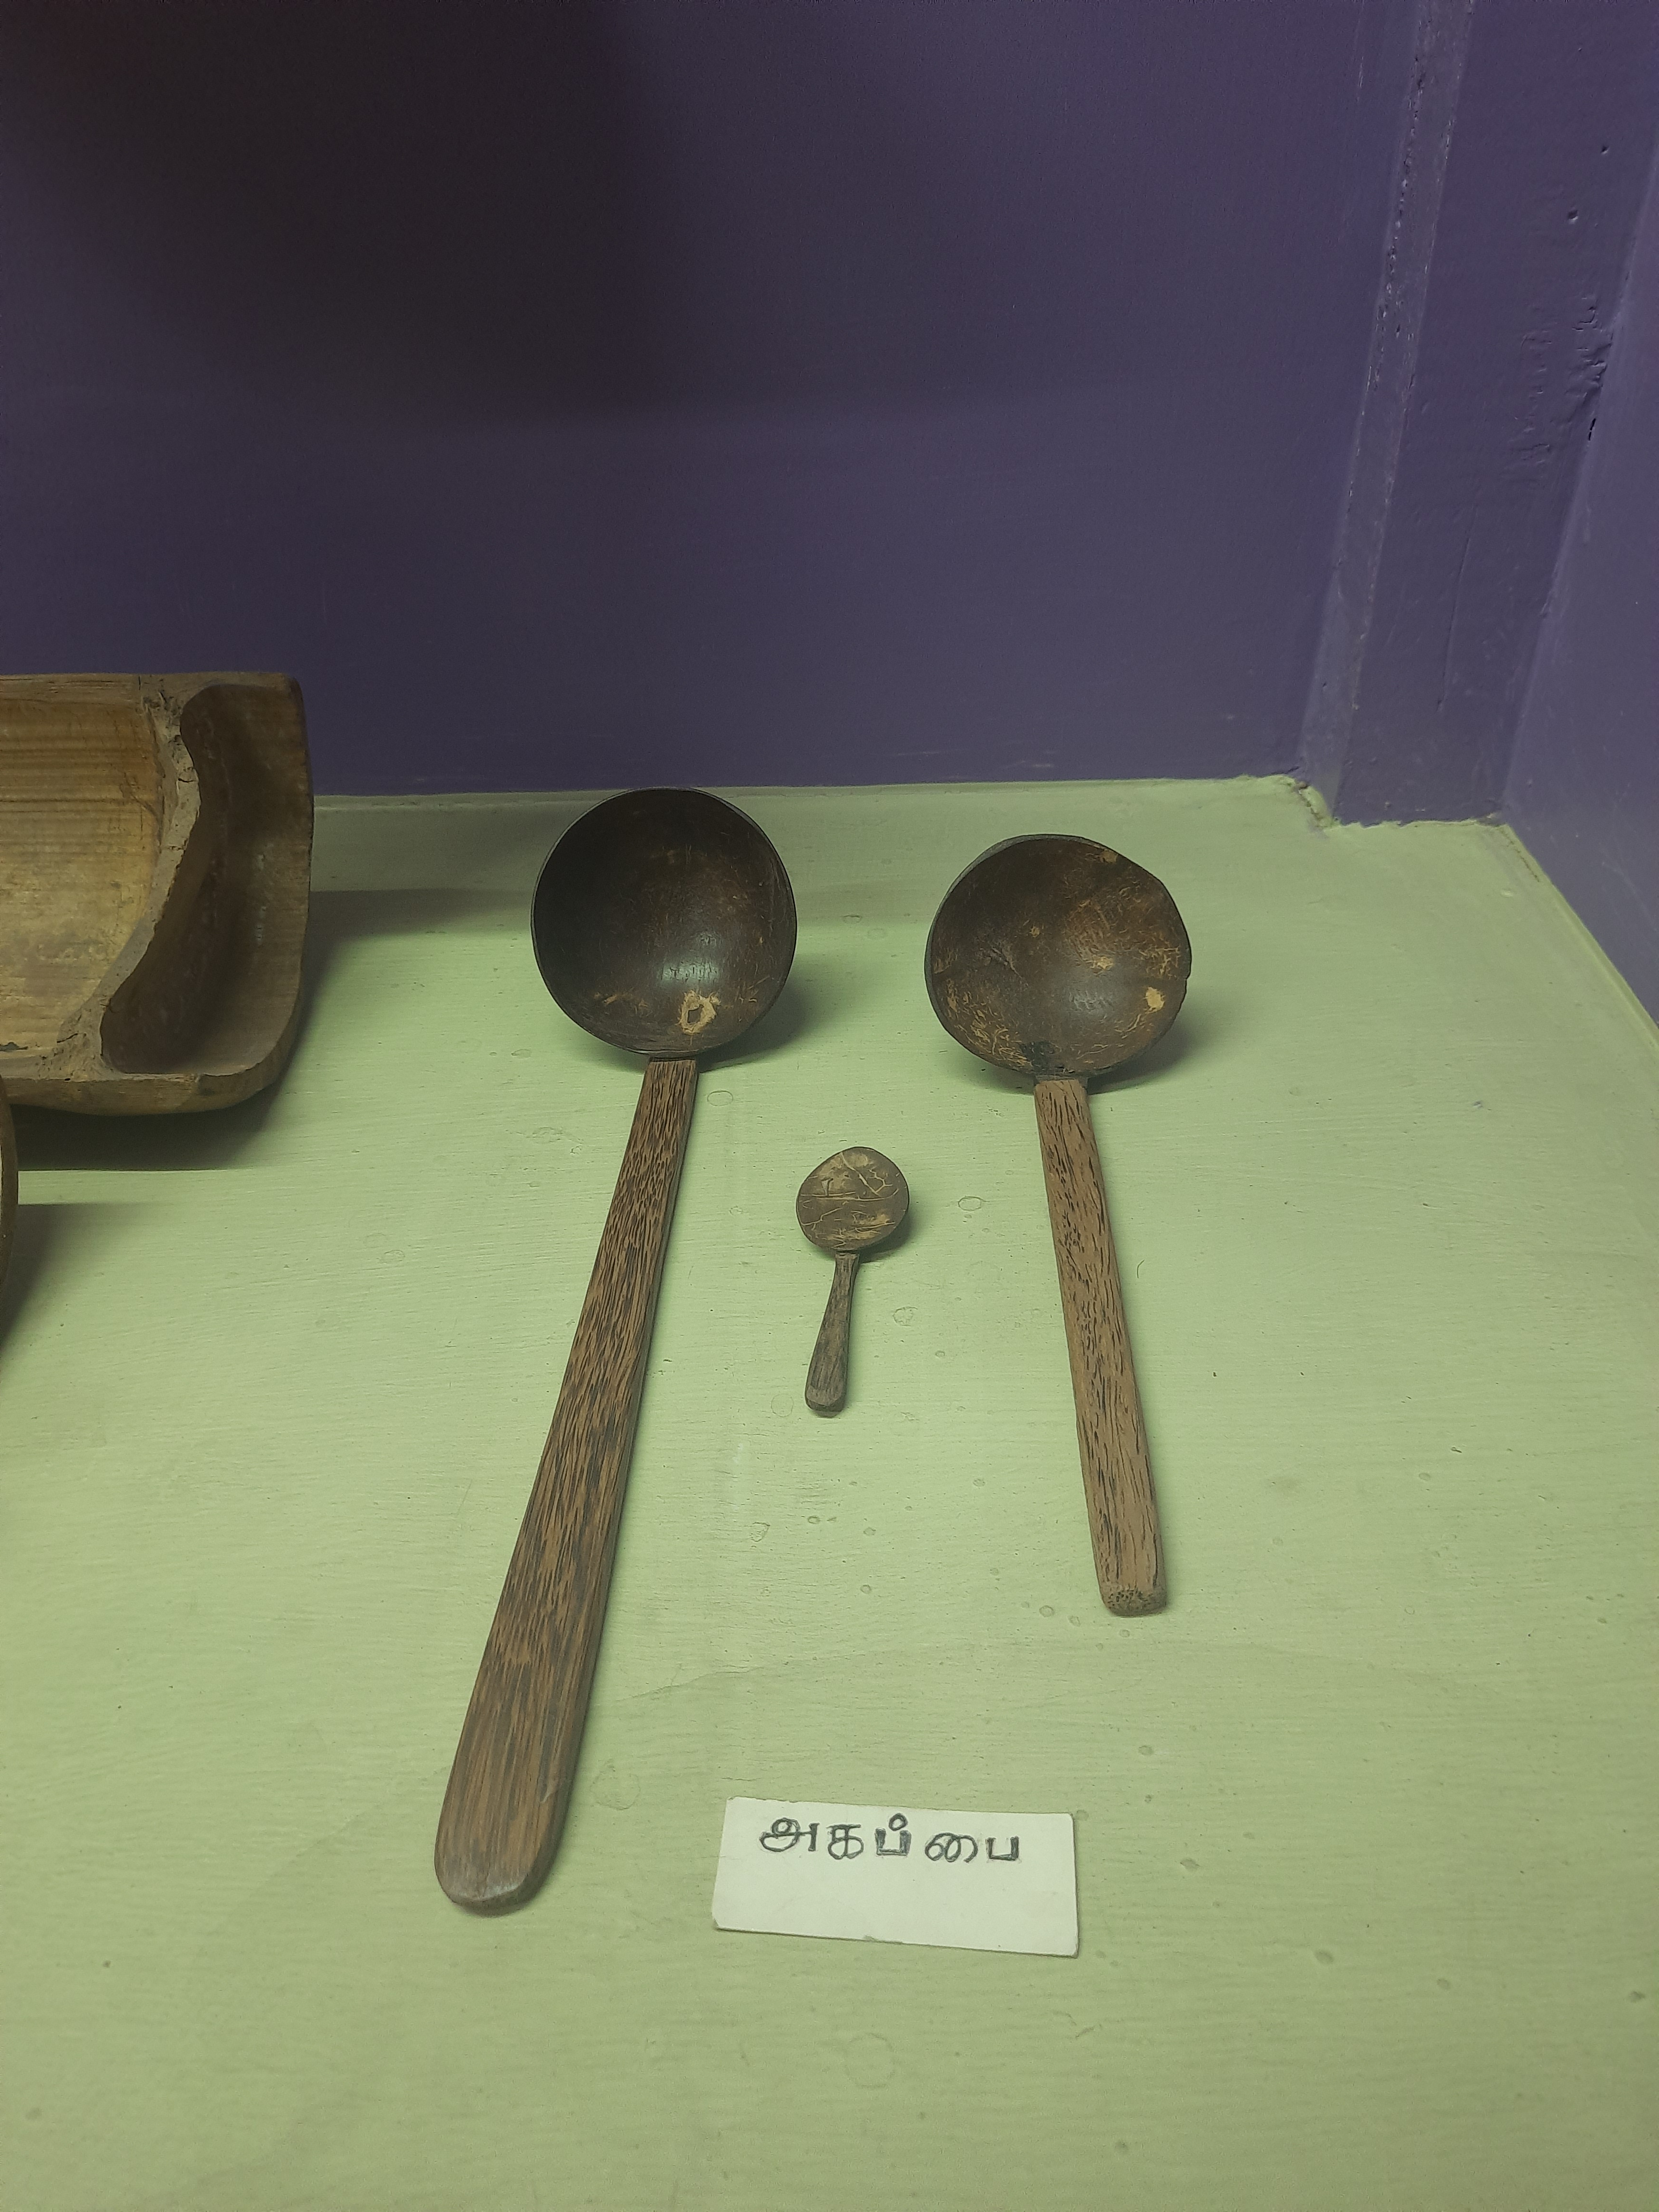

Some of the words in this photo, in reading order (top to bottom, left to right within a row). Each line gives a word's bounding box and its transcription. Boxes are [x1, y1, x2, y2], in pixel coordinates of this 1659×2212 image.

[754, 1810, 1027, 1867] அகபீபை